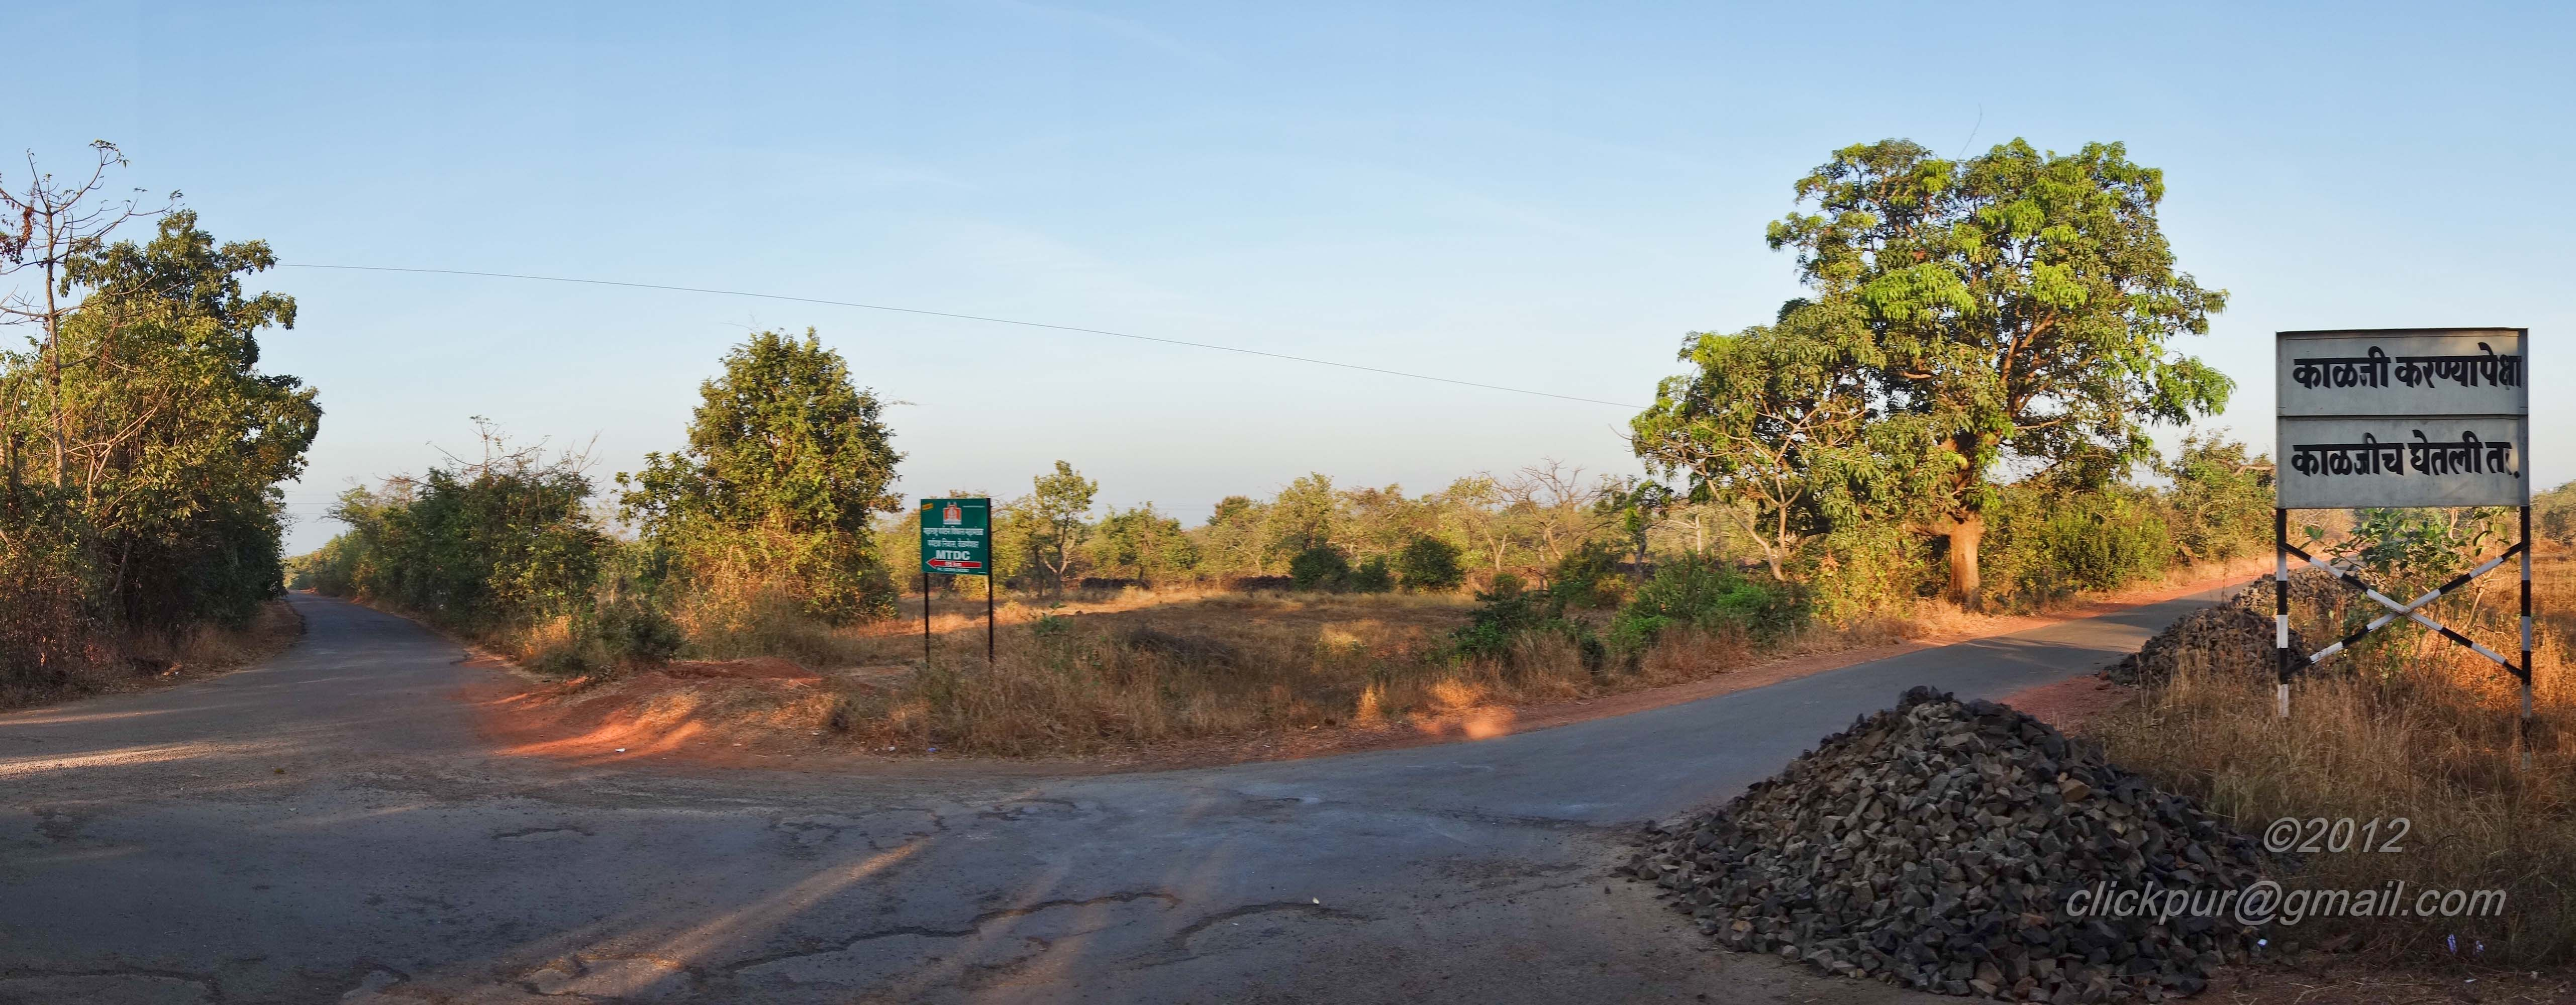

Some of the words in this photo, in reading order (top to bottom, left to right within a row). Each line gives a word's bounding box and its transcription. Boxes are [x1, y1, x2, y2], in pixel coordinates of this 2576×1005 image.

[2292, 341, 2394, 392] काळजी
[2394, 340, 2529, 391] करण्यापेक्षा
[2292, 431, 2407, 478] काळजीच
[2401, 421, 2524, 479] घेतली त.
[2259, 814, 2416, 857] ©2012
[2063, 876, 2512, 930] clickpur@gmail.com